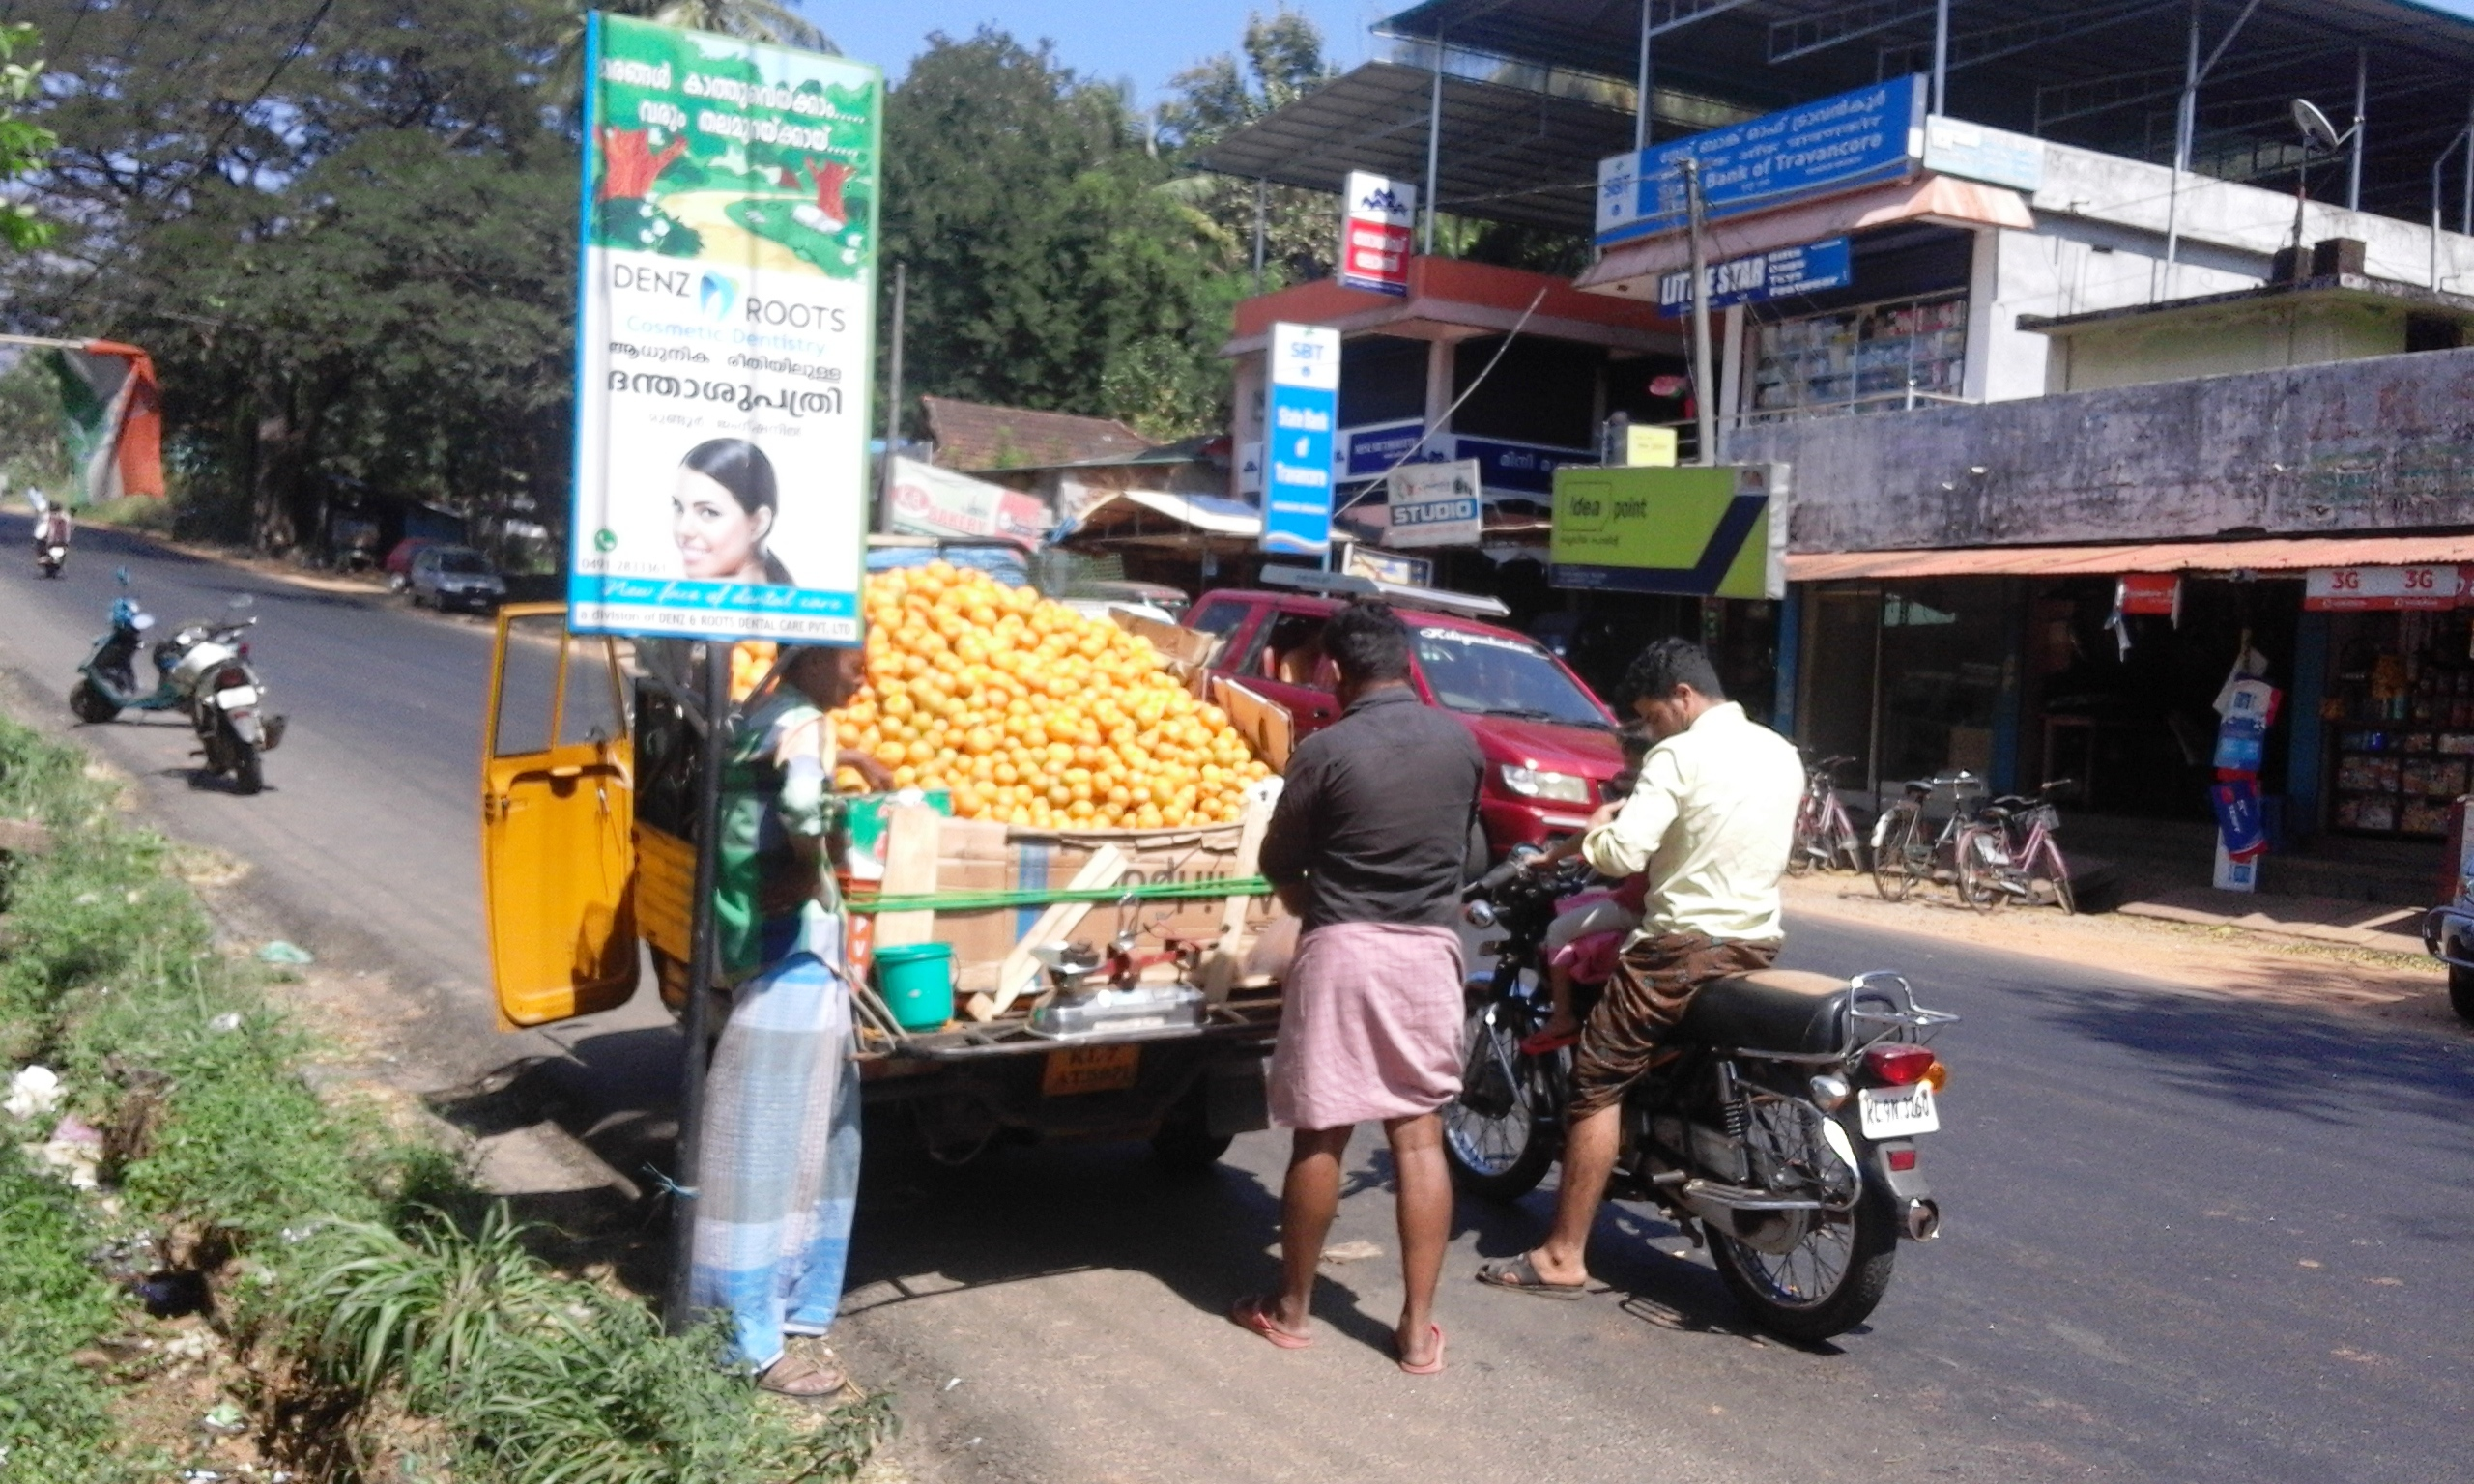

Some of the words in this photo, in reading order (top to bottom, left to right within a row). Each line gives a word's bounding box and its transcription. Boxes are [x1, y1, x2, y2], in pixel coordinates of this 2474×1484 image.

[592, 56, 676, 94] മരങ്ങൾ
[635, 96, 693, 135] വരും
[679, 67, 841, 127] കാത്തുവെയ്ക്കാം
[693, 103, 836, 159] തലമുറയ്ക്കായ്
[1702, 159, 1754, 196] Bank
[1733, 135, 1781, 167] ऑफ
[1747, 153, 1773, 187] of
[1740, 111, 1791, 146] ഓഫ്
[1772, 128, 1885, 176] Travancore
[1781, 110, 1884, 154] त्रावणकोर
[1791, 84, 1889, 135] ട്രാവൻകൂർ
[609, 258, 695, 302] DENZ
[621, 313, 726, 347] Cosmetic
[745, 293, 849, 334] ROOTS
[605, 335, 715, 369] ആധുനിക
[723, 349, 845, 389] രീതിയിലുള്ള
[606, 368, 847, 420] ദന്താശുപത്രി
[1387, 496, 1474, 525] STUDIO
[1561, 489, 1603, 524] Idea
[1607, 488, 1650, 525] point